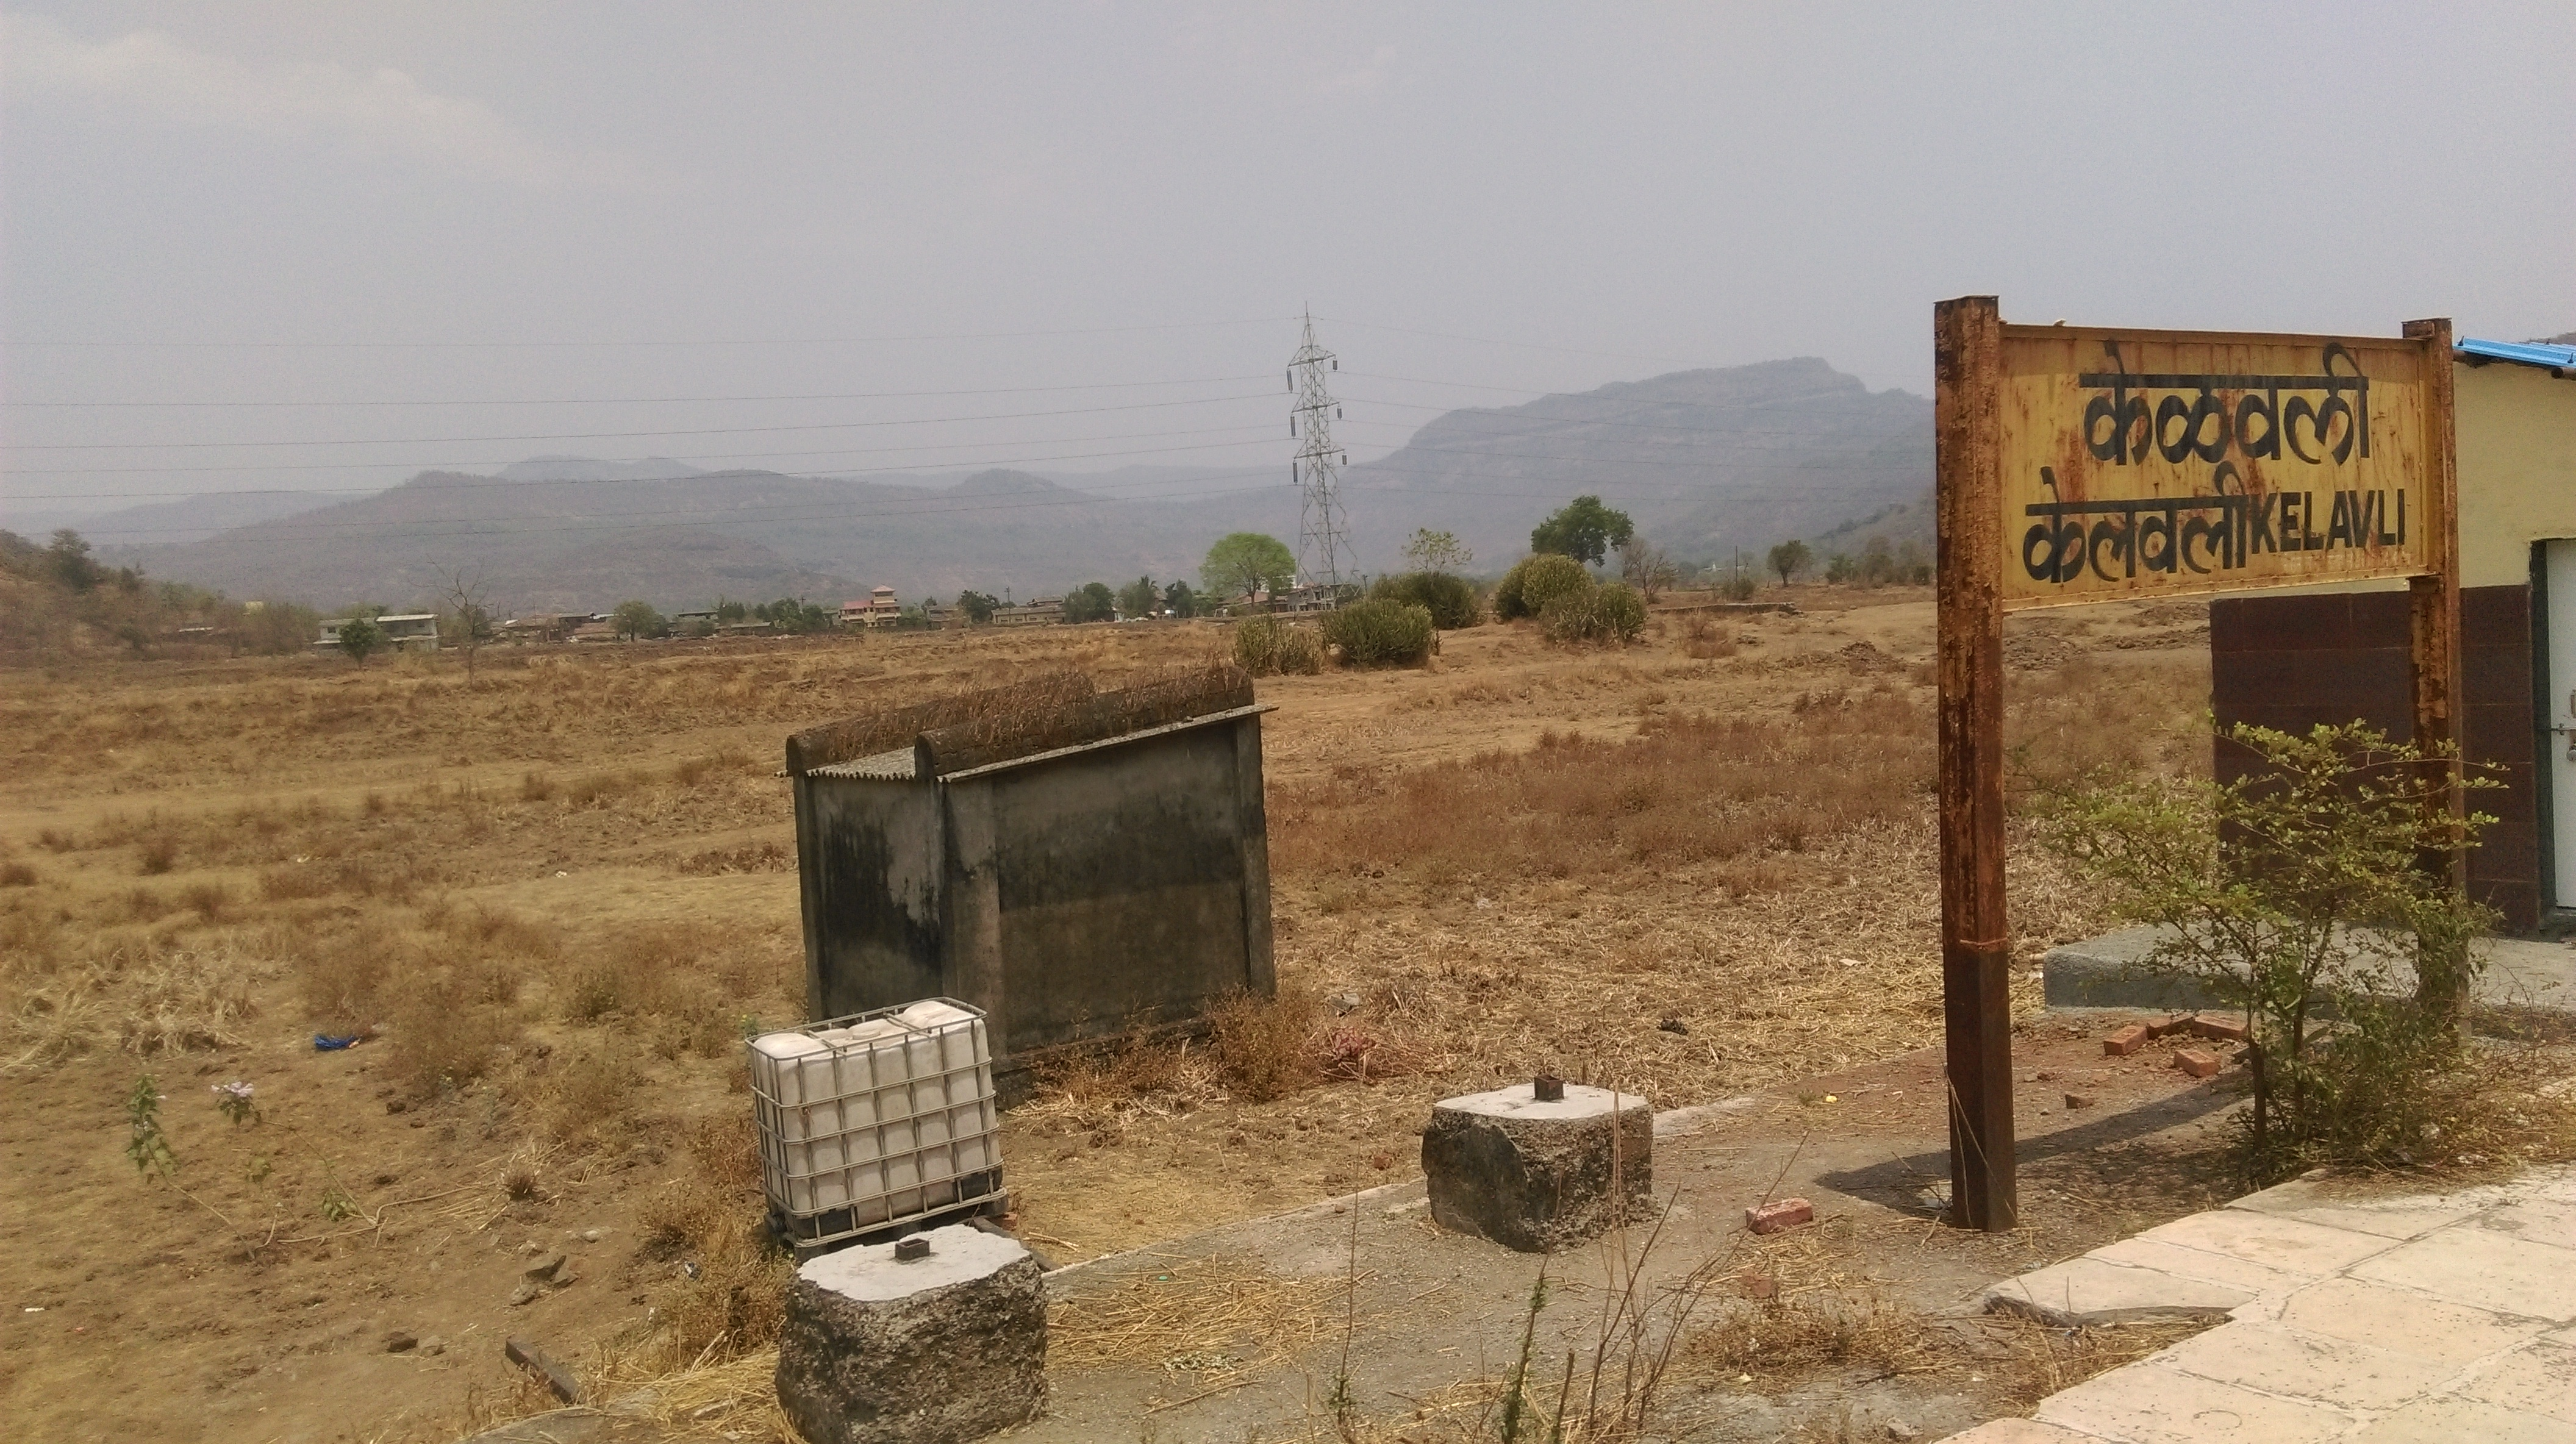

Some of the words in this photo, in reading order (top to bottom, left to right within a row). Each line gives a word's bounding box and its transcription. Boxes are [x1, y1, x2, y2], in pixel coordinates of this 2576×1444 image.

[2069, 327, 2378, 473] केळवली
[2017, 456, 2258, 592] केलवली
[2249, 483, 2414, 556] 180470